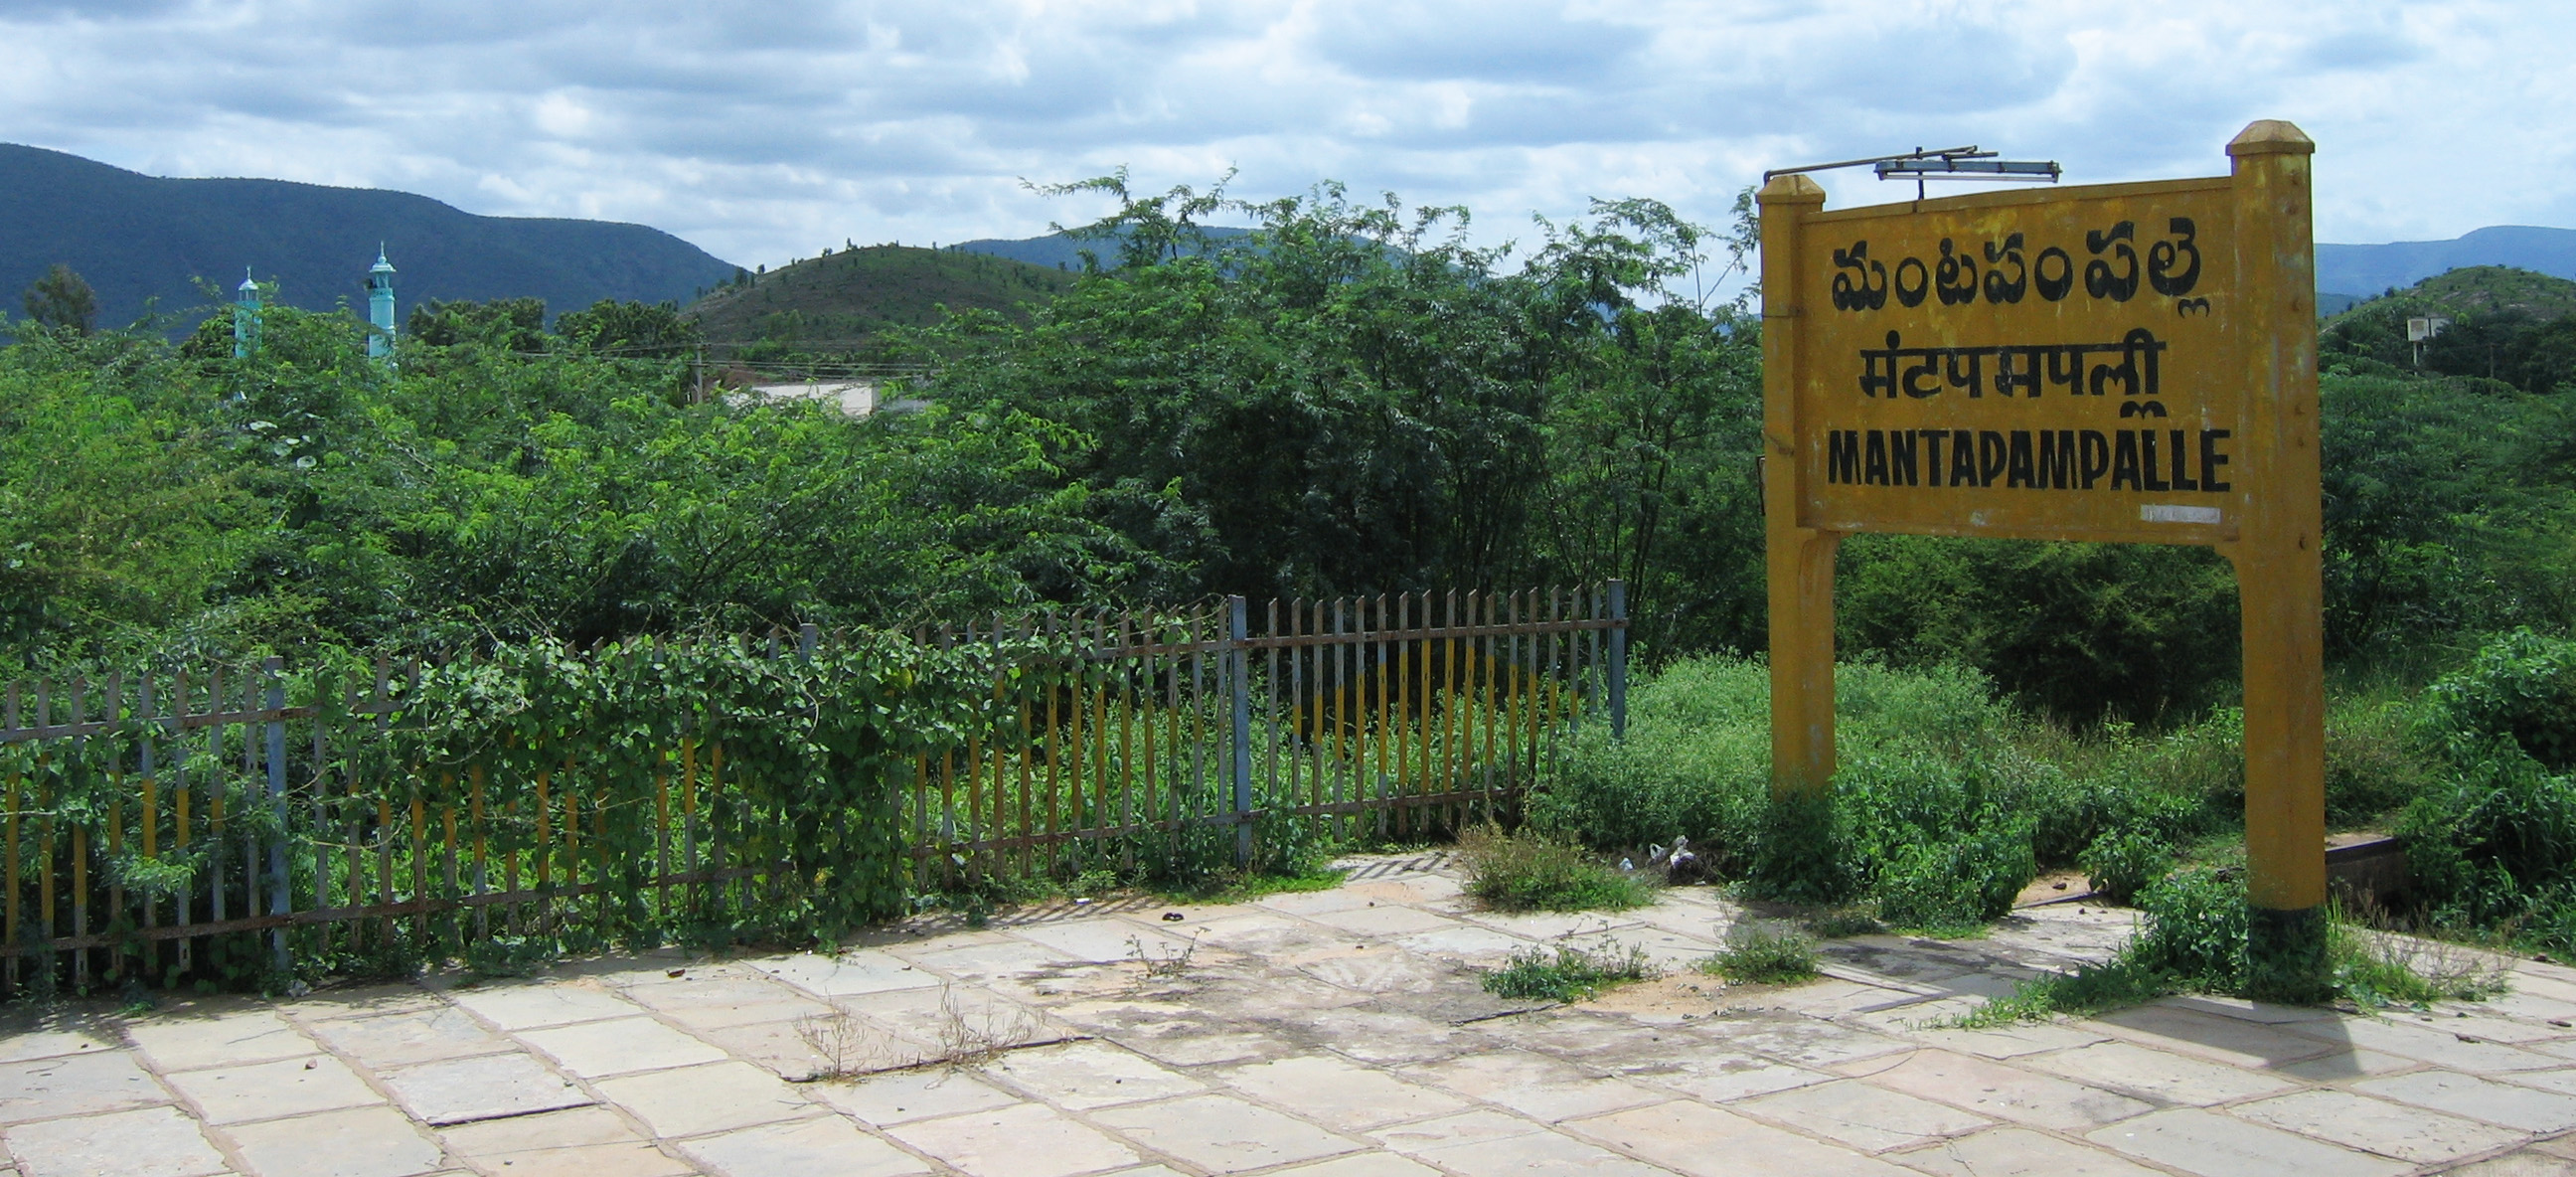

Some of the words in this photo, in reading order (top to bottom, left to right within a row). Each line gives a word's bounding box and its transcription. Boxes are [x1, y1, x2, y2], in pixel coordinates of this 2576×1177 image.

[1828, 213, 2214, 322] మంటపంపల్లె
[1855, 321, 2172, 422] मंटपमपली
[1824, 422, 2237, 498] MANTAPAMPALLE